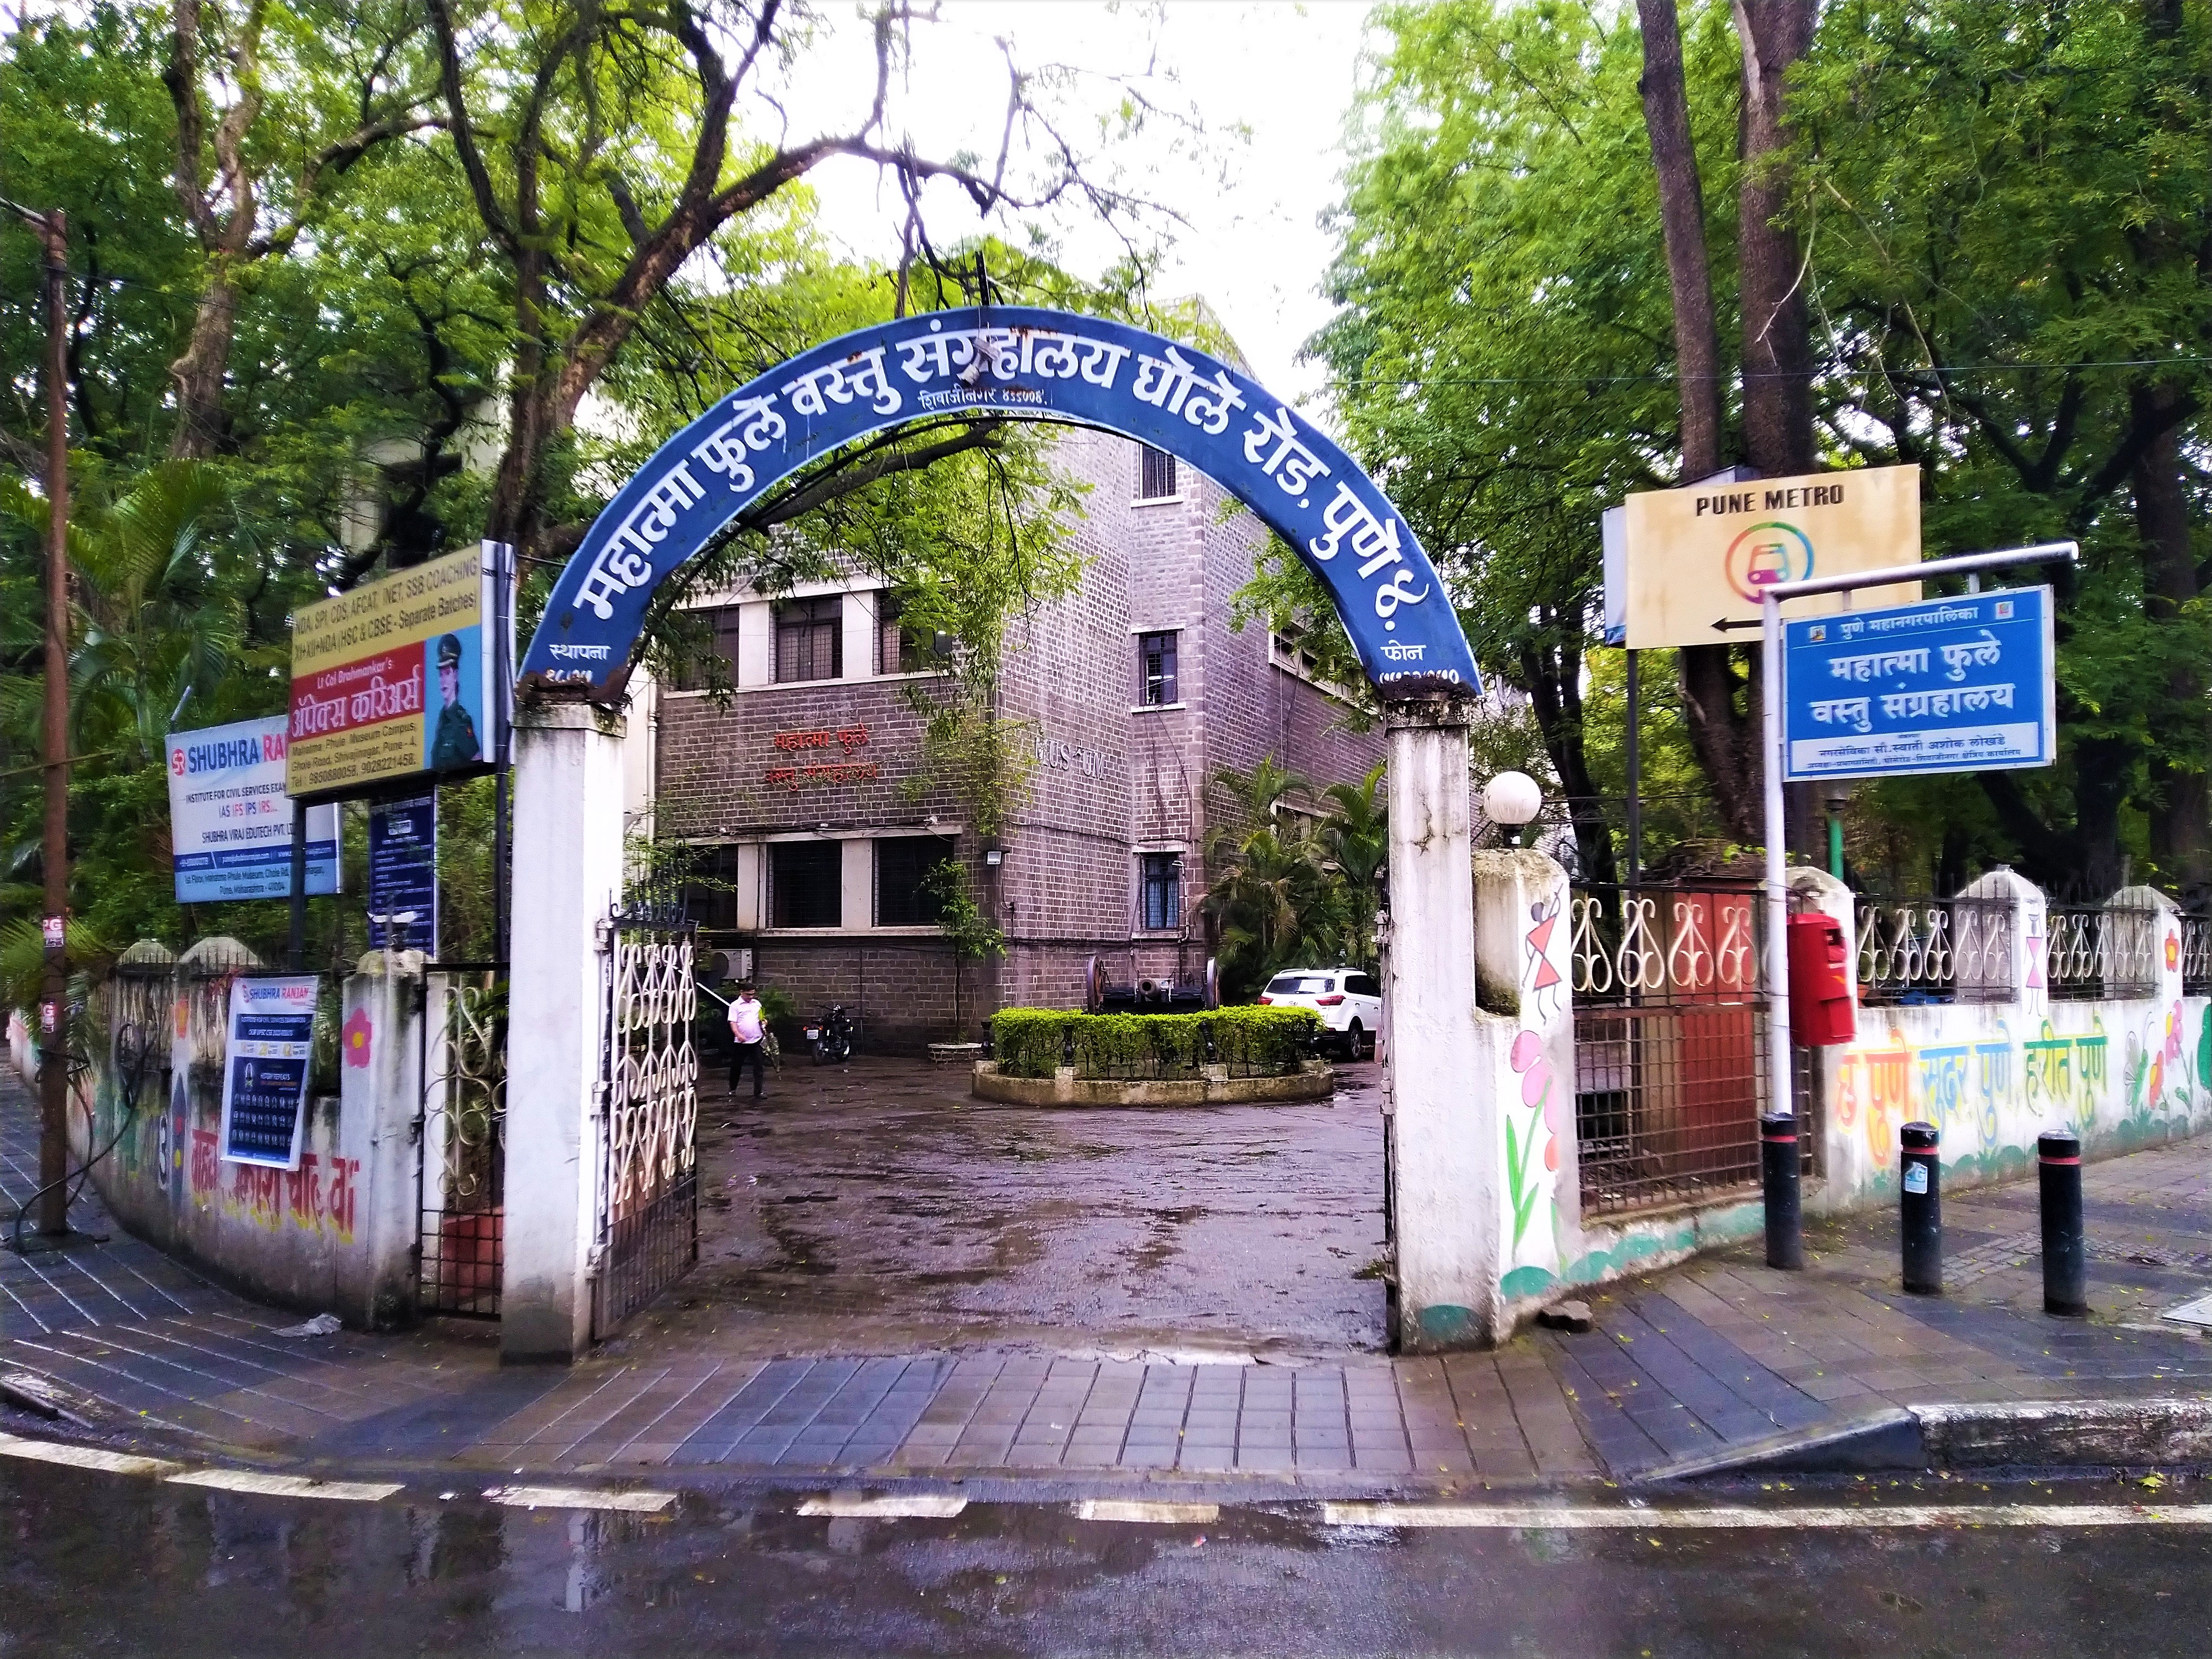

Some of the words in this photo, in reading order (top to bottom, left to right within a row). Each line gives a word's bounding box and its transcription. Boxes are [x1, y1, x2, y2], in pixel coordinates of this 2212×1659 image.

[890, 319, 1136, 397] संग्रहालय
[775, 338, 906, 433] वस्तु
[1130, 338, 1255, 443] घोले
[682, 384, 795, 502] फुले
[1237, 399, 1338, 516] रोड,
[568, 454, 713, 631] महात्मा
[1299, 469, 1408, 585] पुणे
[1692, 486, 1760, 520] PUNE
[1760, 482, 1849, 513] METRO
[545, 640, 615, 665] स्थापना
[1376, 636, 1432, 665] फोन
[1368, 559, 1441, 636] ४.
[1836, 615, 1869, 641] पुणे
[1823, 641, 1936, 686] महात्मा
[1868, 602, 1984, 637] महानगरपालिका
[1937, 626, 2012, 684] फुले
[185, 732, 261, 776] SHUBHRA
[289, 690, 348, 739] ॲपेक्स
[348, 662, 425, 729] करिअर्स
[772, 728, 834, 756] महात्मा
[834, 718, 872, 758] फुले
[1799, 690, 1881, 735] वस्तु
[1817, 742, 1872, 760] नगरसेविका
[1870, 739, 1891, 755] सौ.
[1891, 739, 1926, 755] स्वाती
[1927, 734, 1968, 753] अशोक
[1875, 678, 2022, 728] संग्रहालय
[1968, 729, 2010, 749] लोखंडे
[1859, 1021, 1923, 1173] पुणे ,
[1915, 1022, 1975, 1142] सुंदर
[1971, 1013, 2018, 1149] पुणे
[2017, 1015, 2076, 1123] हरीत
[2073, 1010, 2116, 1131] पुणे